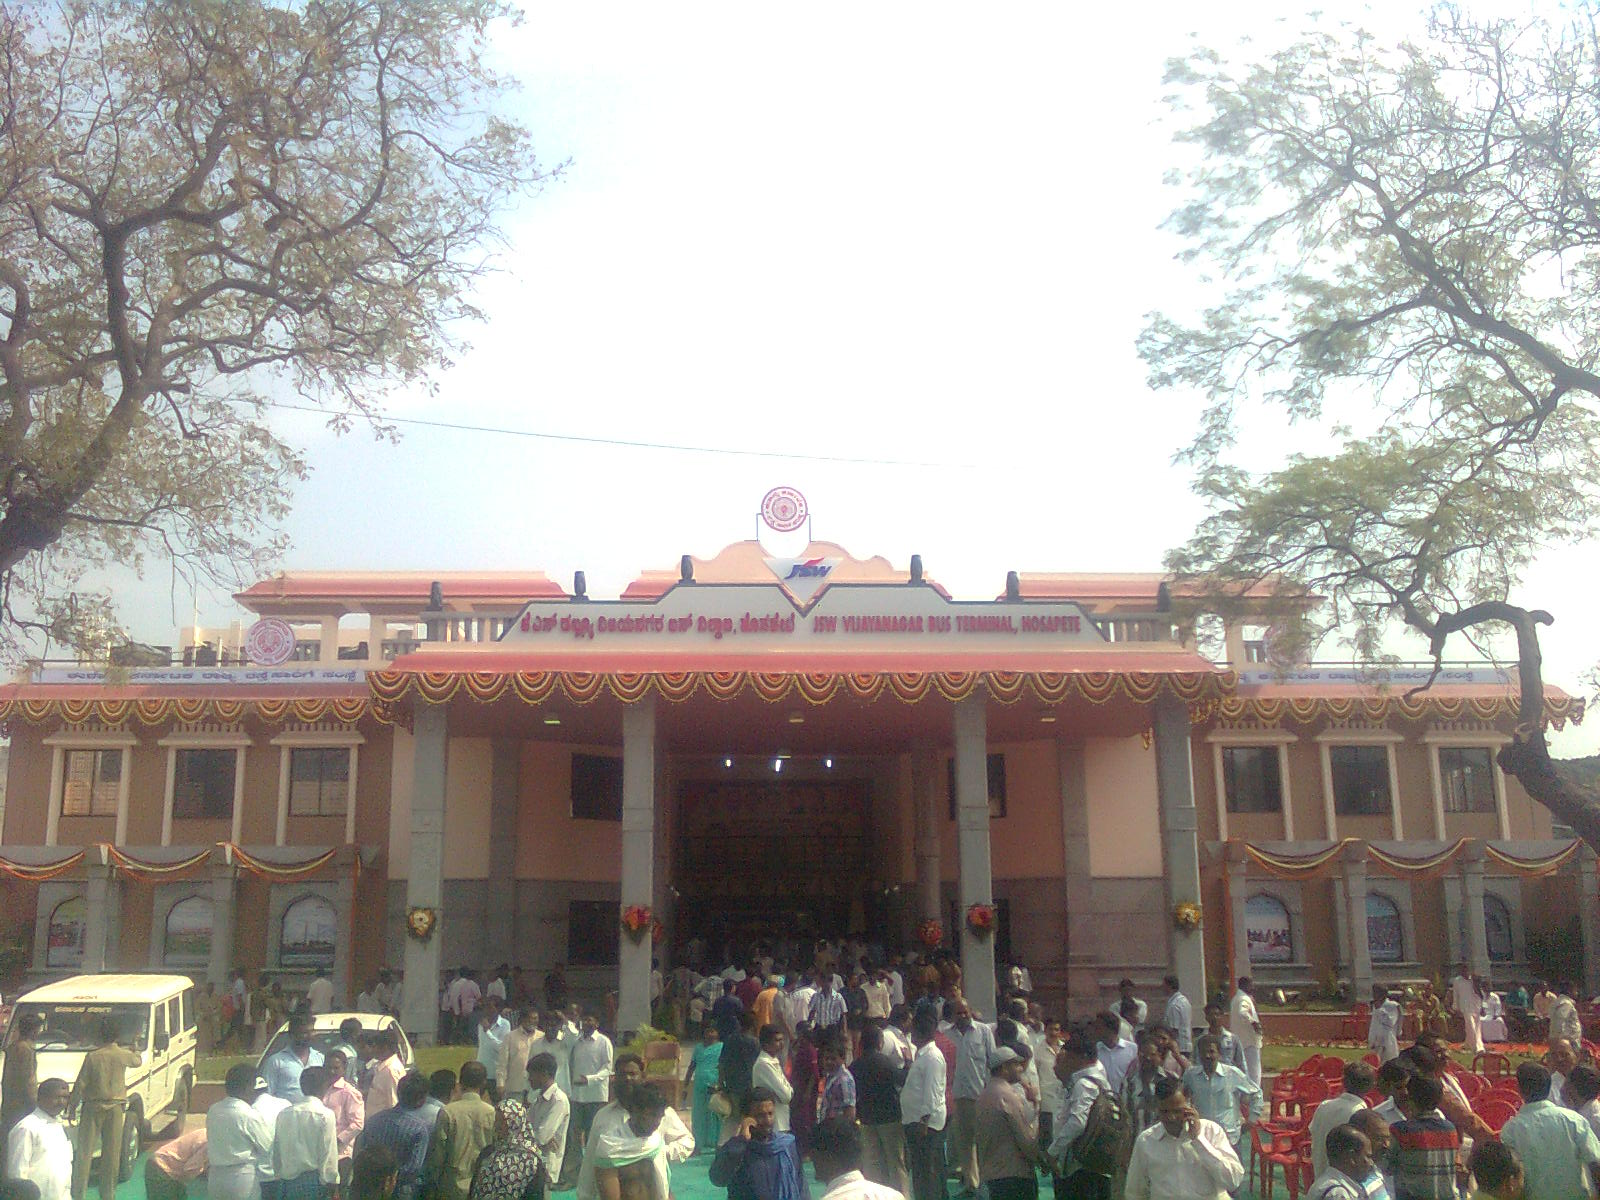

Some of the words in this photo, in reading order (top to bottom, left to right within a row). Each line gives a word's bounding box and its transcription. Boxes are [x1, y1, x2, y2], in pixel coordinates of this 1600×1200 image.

[513, 601, 565, 638] ಕೆಎಸ್
[555, 608, 601, 641] ಕಲ್ಲ೩
[594, 606, 671, 638] ವಿಜಯನಗರ
[664, 608, 697, 637] ಅಸ್
[693, 605, 738, 643] ನಿಲ್ದಾಣ,
[810, 609, 840, 638] JSW
[837, 608, 928, 635] VIJYANAGAR
[924, 607, 955, 639] BUS
[951, 611, 1021, 639] TERMINAL
[1017, 611, 1086, 636] HOSAPETE